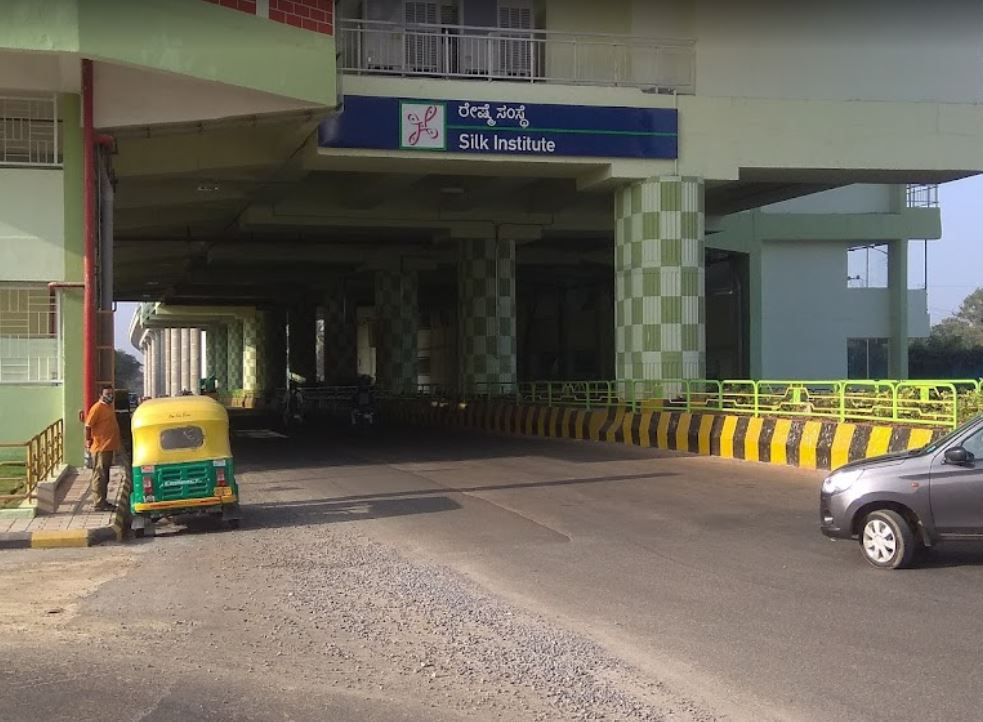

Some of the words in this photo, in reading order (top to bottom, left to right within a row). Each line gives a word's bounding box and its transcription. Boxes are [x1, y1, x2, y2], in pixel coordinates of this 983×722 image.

[452, 94, 501, 131] ರೇಷ್ಮೆ
[492, 101, 533, 132] ಸಂಸ್ಥೆ
[452, 127, 493, 155] Silk
[492, 131, 558, 156] Institute